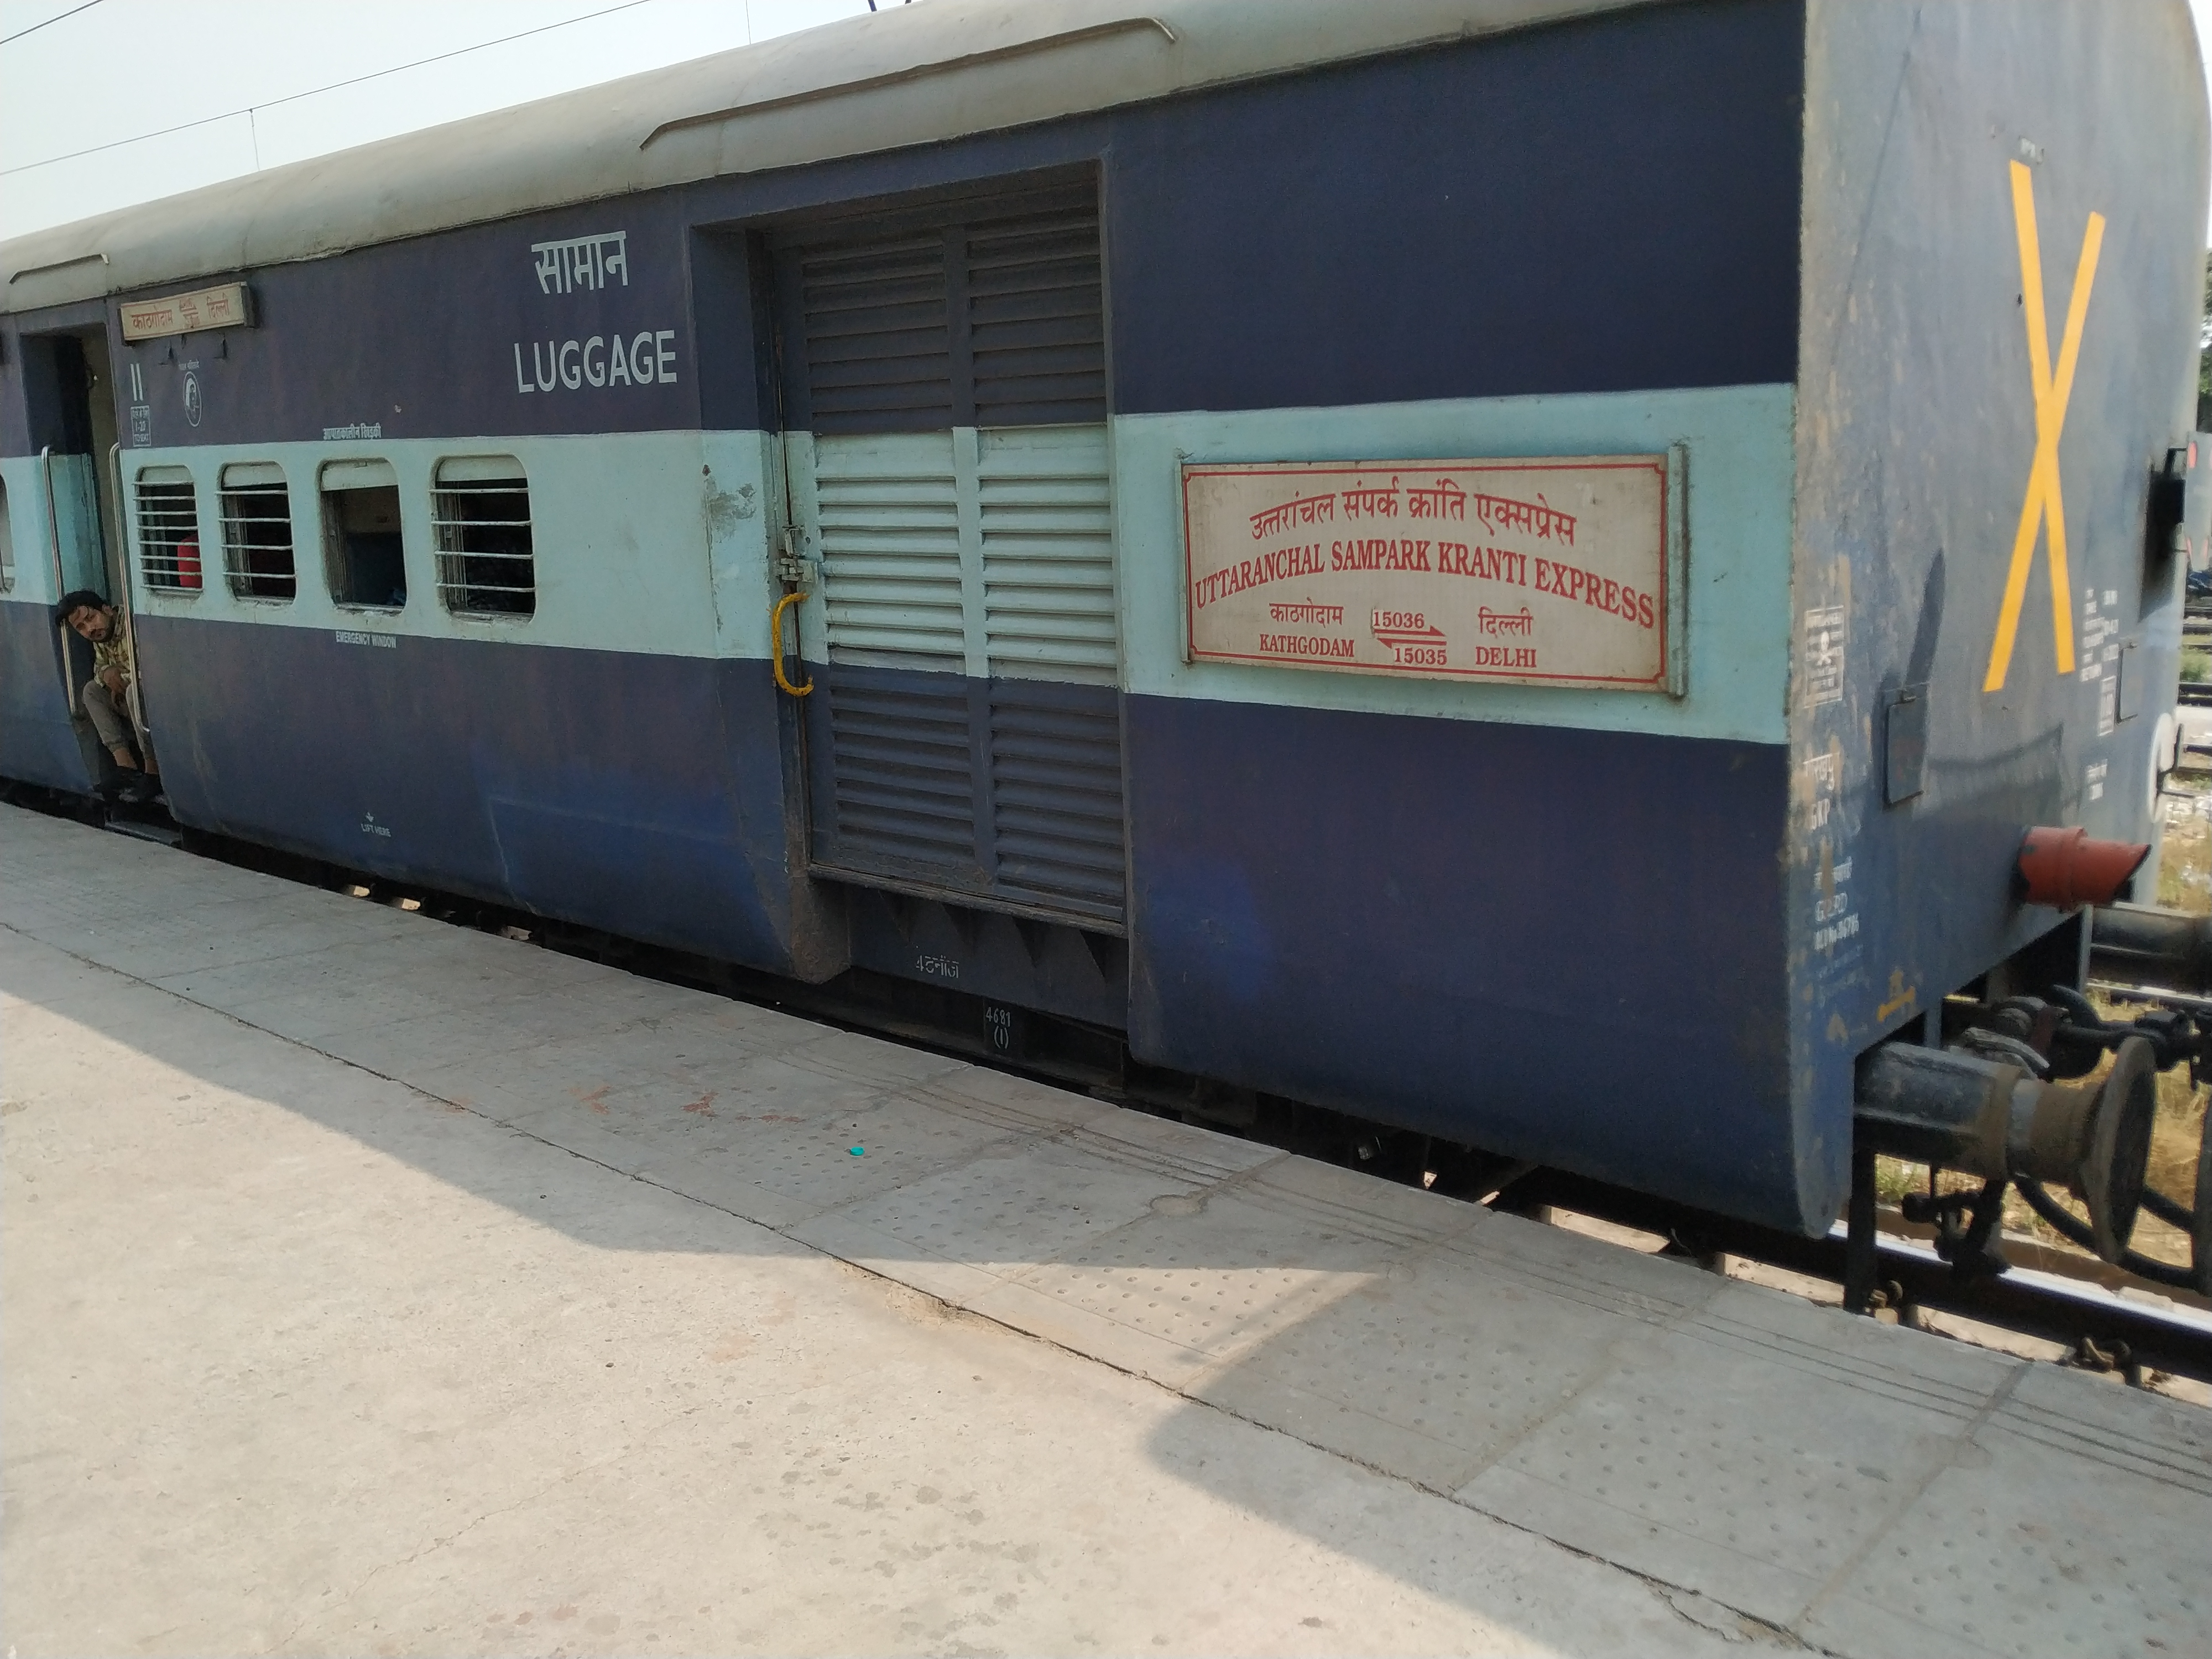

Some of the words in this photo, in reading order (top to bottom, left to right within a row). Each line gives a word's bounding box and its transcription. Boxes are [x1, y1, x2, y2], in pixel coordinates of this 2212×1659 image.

[524, 226, 635, 304] सामान
[129, 300, 178, 333] काठगोदाम
[203, 289, 236, 320] दिल्ली
[513, 328, 680, 395] LUGGAGE
[319, 418, 362, 442] आपातकालीन
[356, 418, 383, 441] खिड़की
[1246, 488, 1337, 544] उत्‍तरांचल
[1340, 472, 1402, 522] संपर्क
[1405, 473, 1468, 525] क्रांति
[1473, 489, 1580, 550] एक्सप्रेस
[334, 628, 371, 649] EMERGENCY
[369, 632, 398, 651] WINDOW
[1191, 541, 1328, 611] UTTARANCHAL
[1258, 629, 1355, 660] KATHGODAM
[1267, 593, 1347, 629] काठगोदाम
[1329, 536, 1432, 577] SAMPARK
[1365, 604, 1438, 638] 15036
[1391, 644, 1448, 667] 15035
[1436, 537, 1528, 590] KRANTI
[1467, 602, 1538, 640] दिल्ली
[1467, 640, 1541, 672] DELHI
[1532, 555, 1657, 632] EXPRESS